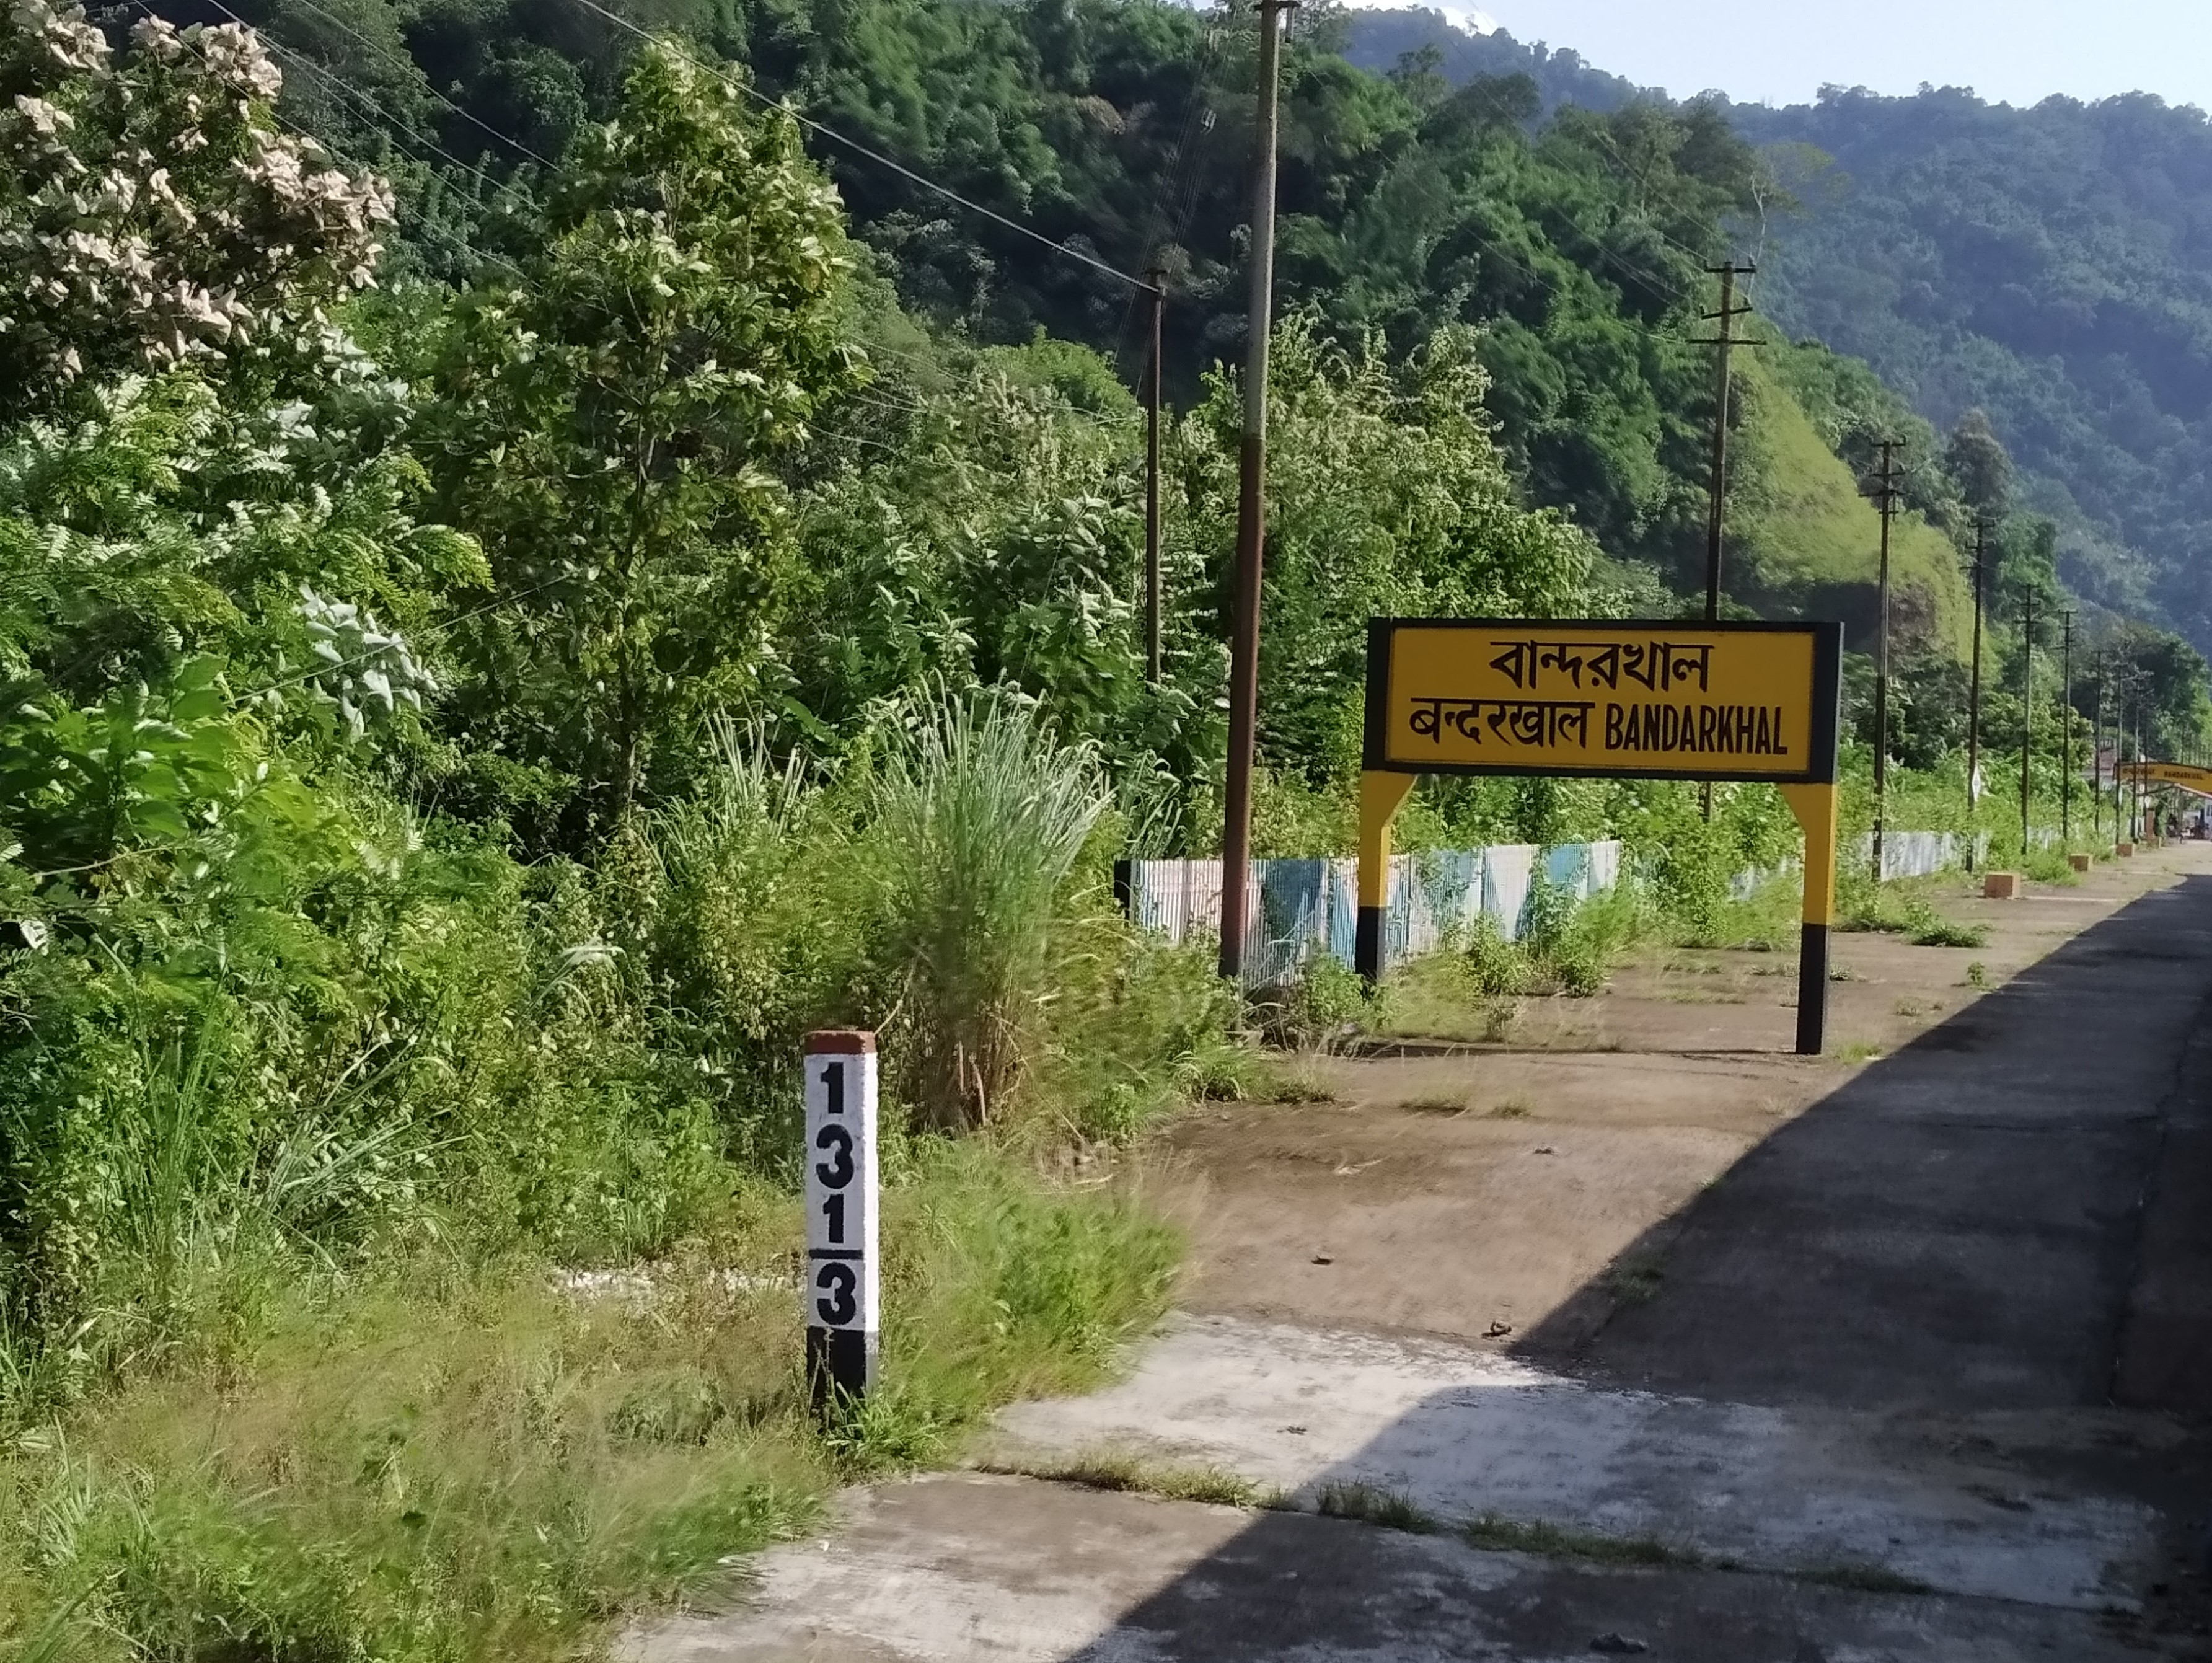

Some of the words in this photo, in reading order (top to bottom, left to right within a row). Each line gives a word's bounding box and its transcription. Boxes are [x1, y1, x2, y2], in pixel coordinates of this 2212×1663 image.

[1484, 634, 1718, 702] বান্দরখাল
[1406, 692, 1600, 752] बन्दरखाल
[1602, 696, 1796, 761] BANDARKHAL